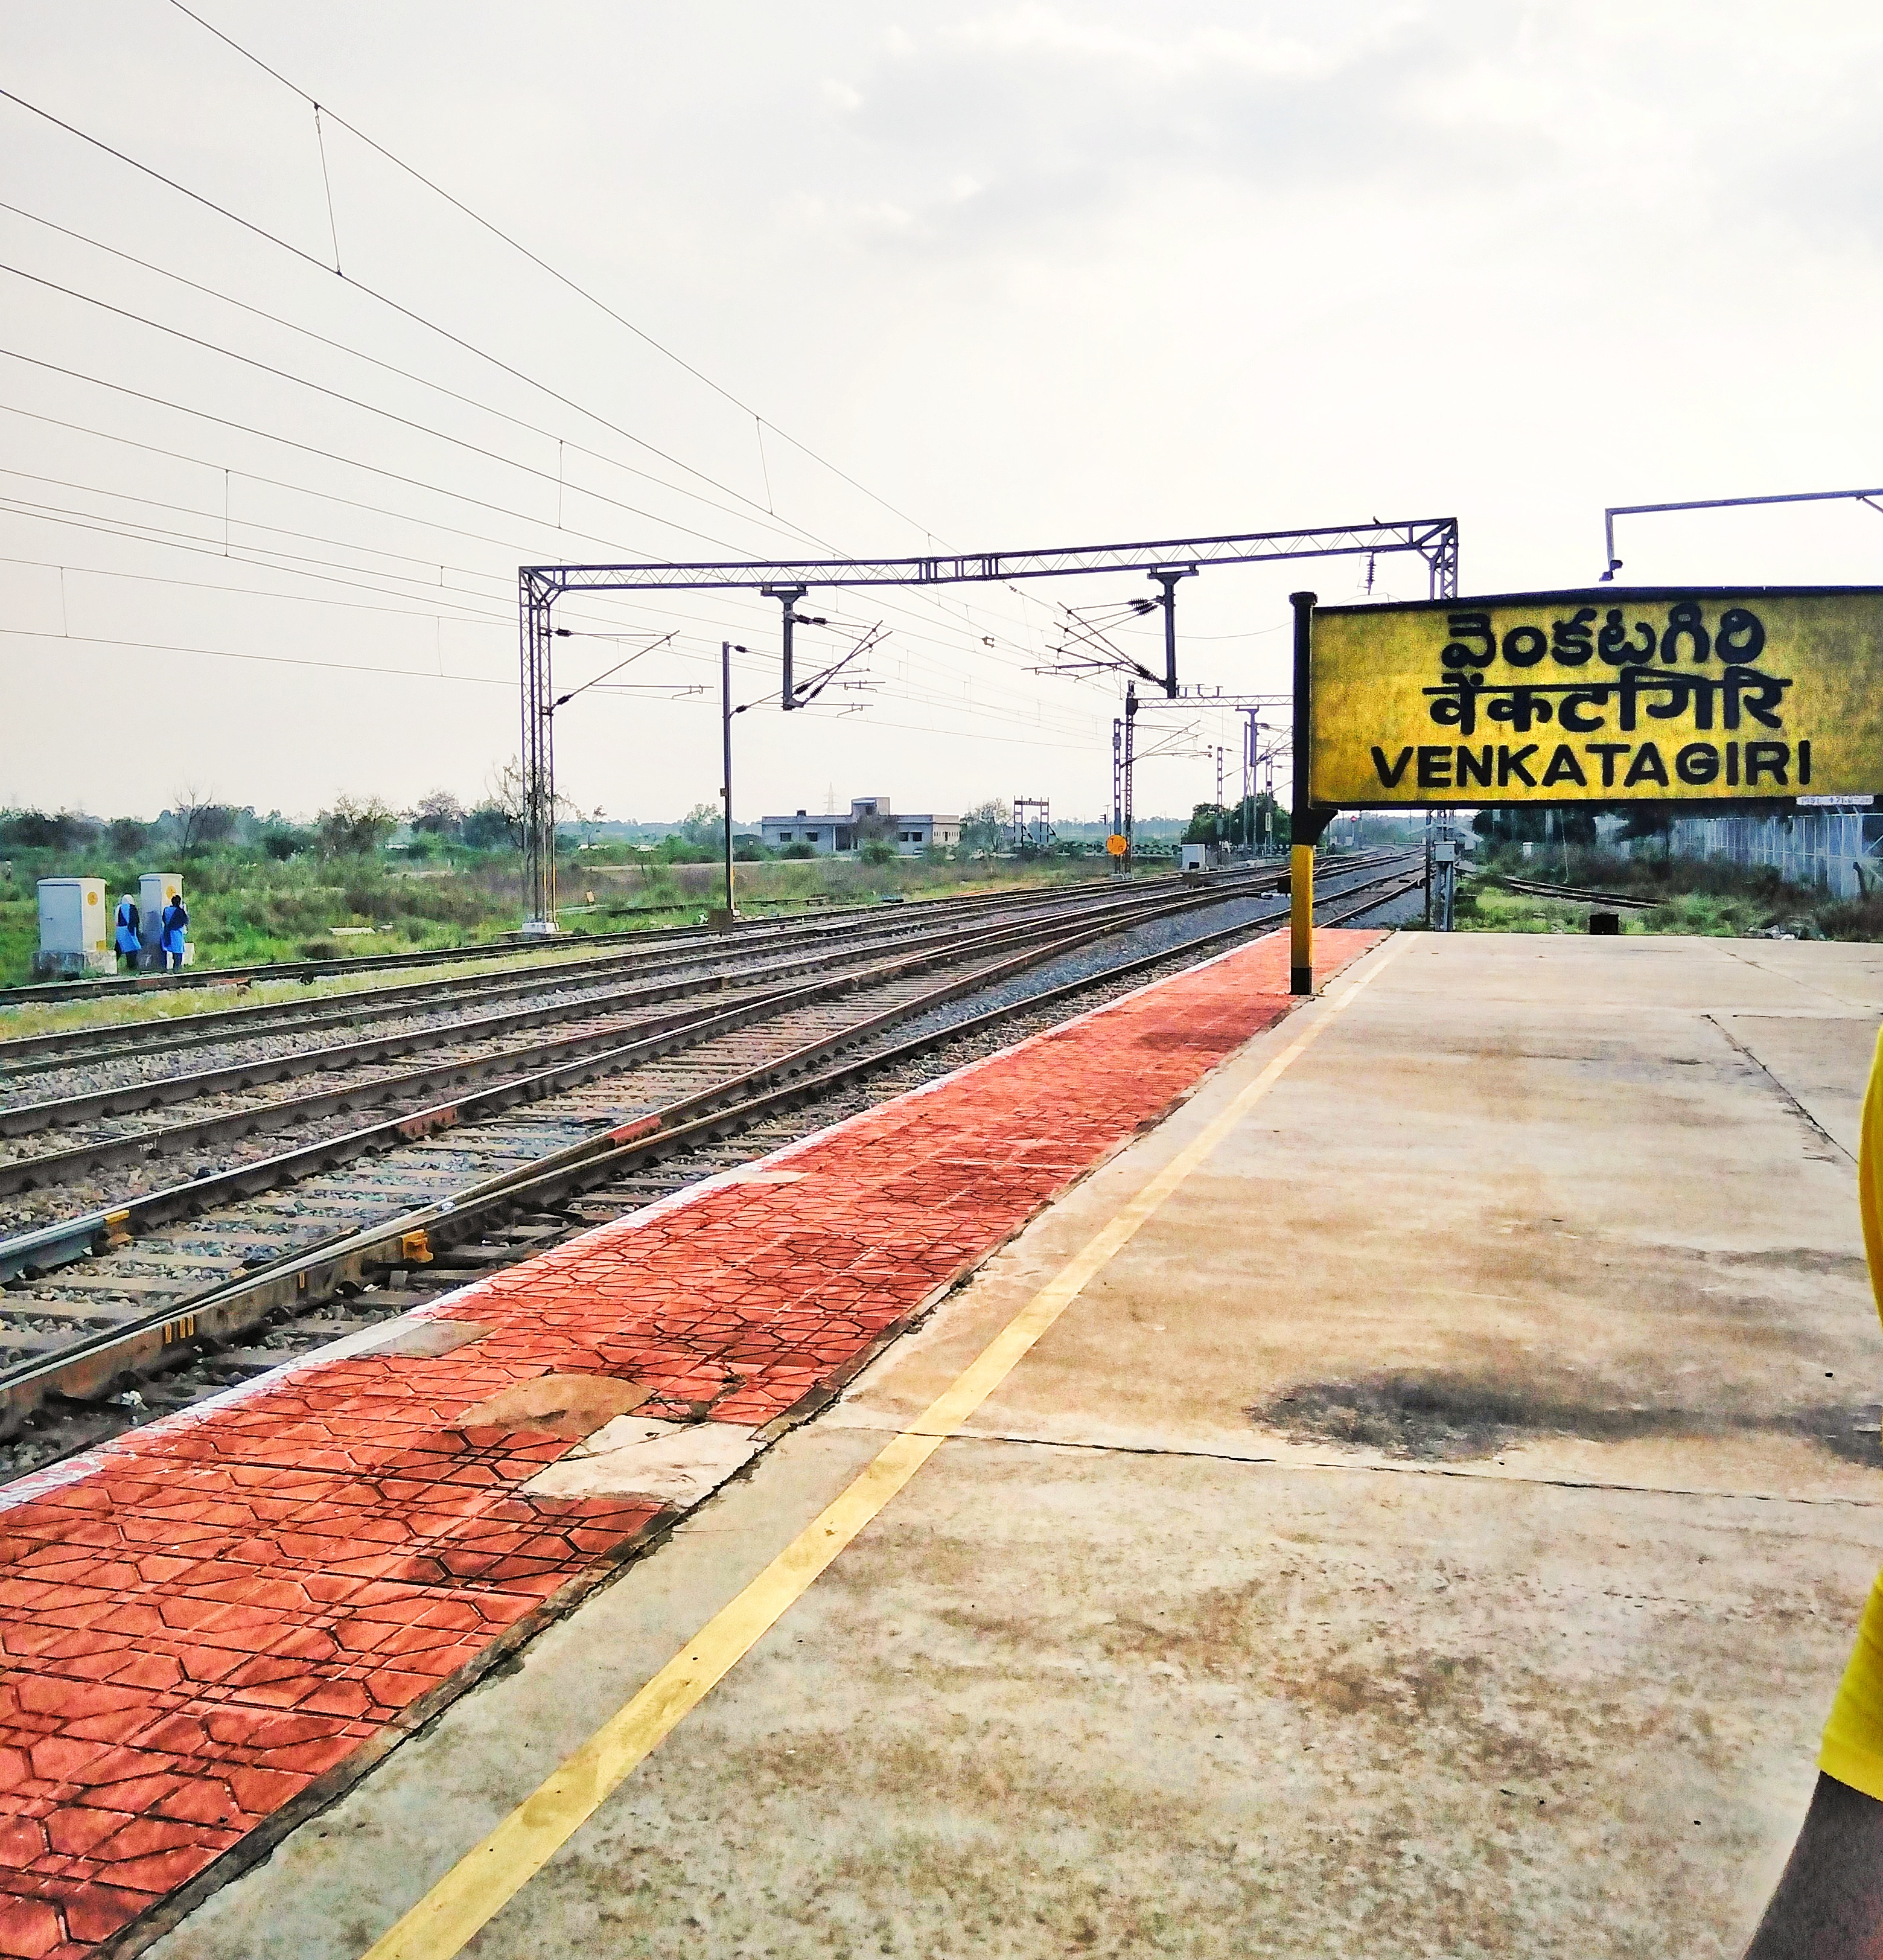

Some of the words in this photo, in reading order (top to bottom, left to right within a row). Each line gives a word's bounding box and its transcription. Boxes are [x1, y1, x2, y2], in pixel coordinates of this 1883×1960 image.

[1436, 598, 1771, 669] వెంకటగిరి
[1421, 659, 1798, 738] वेंकटगिरि
[1363, 739, 1814, 794] VENKATAGIRI